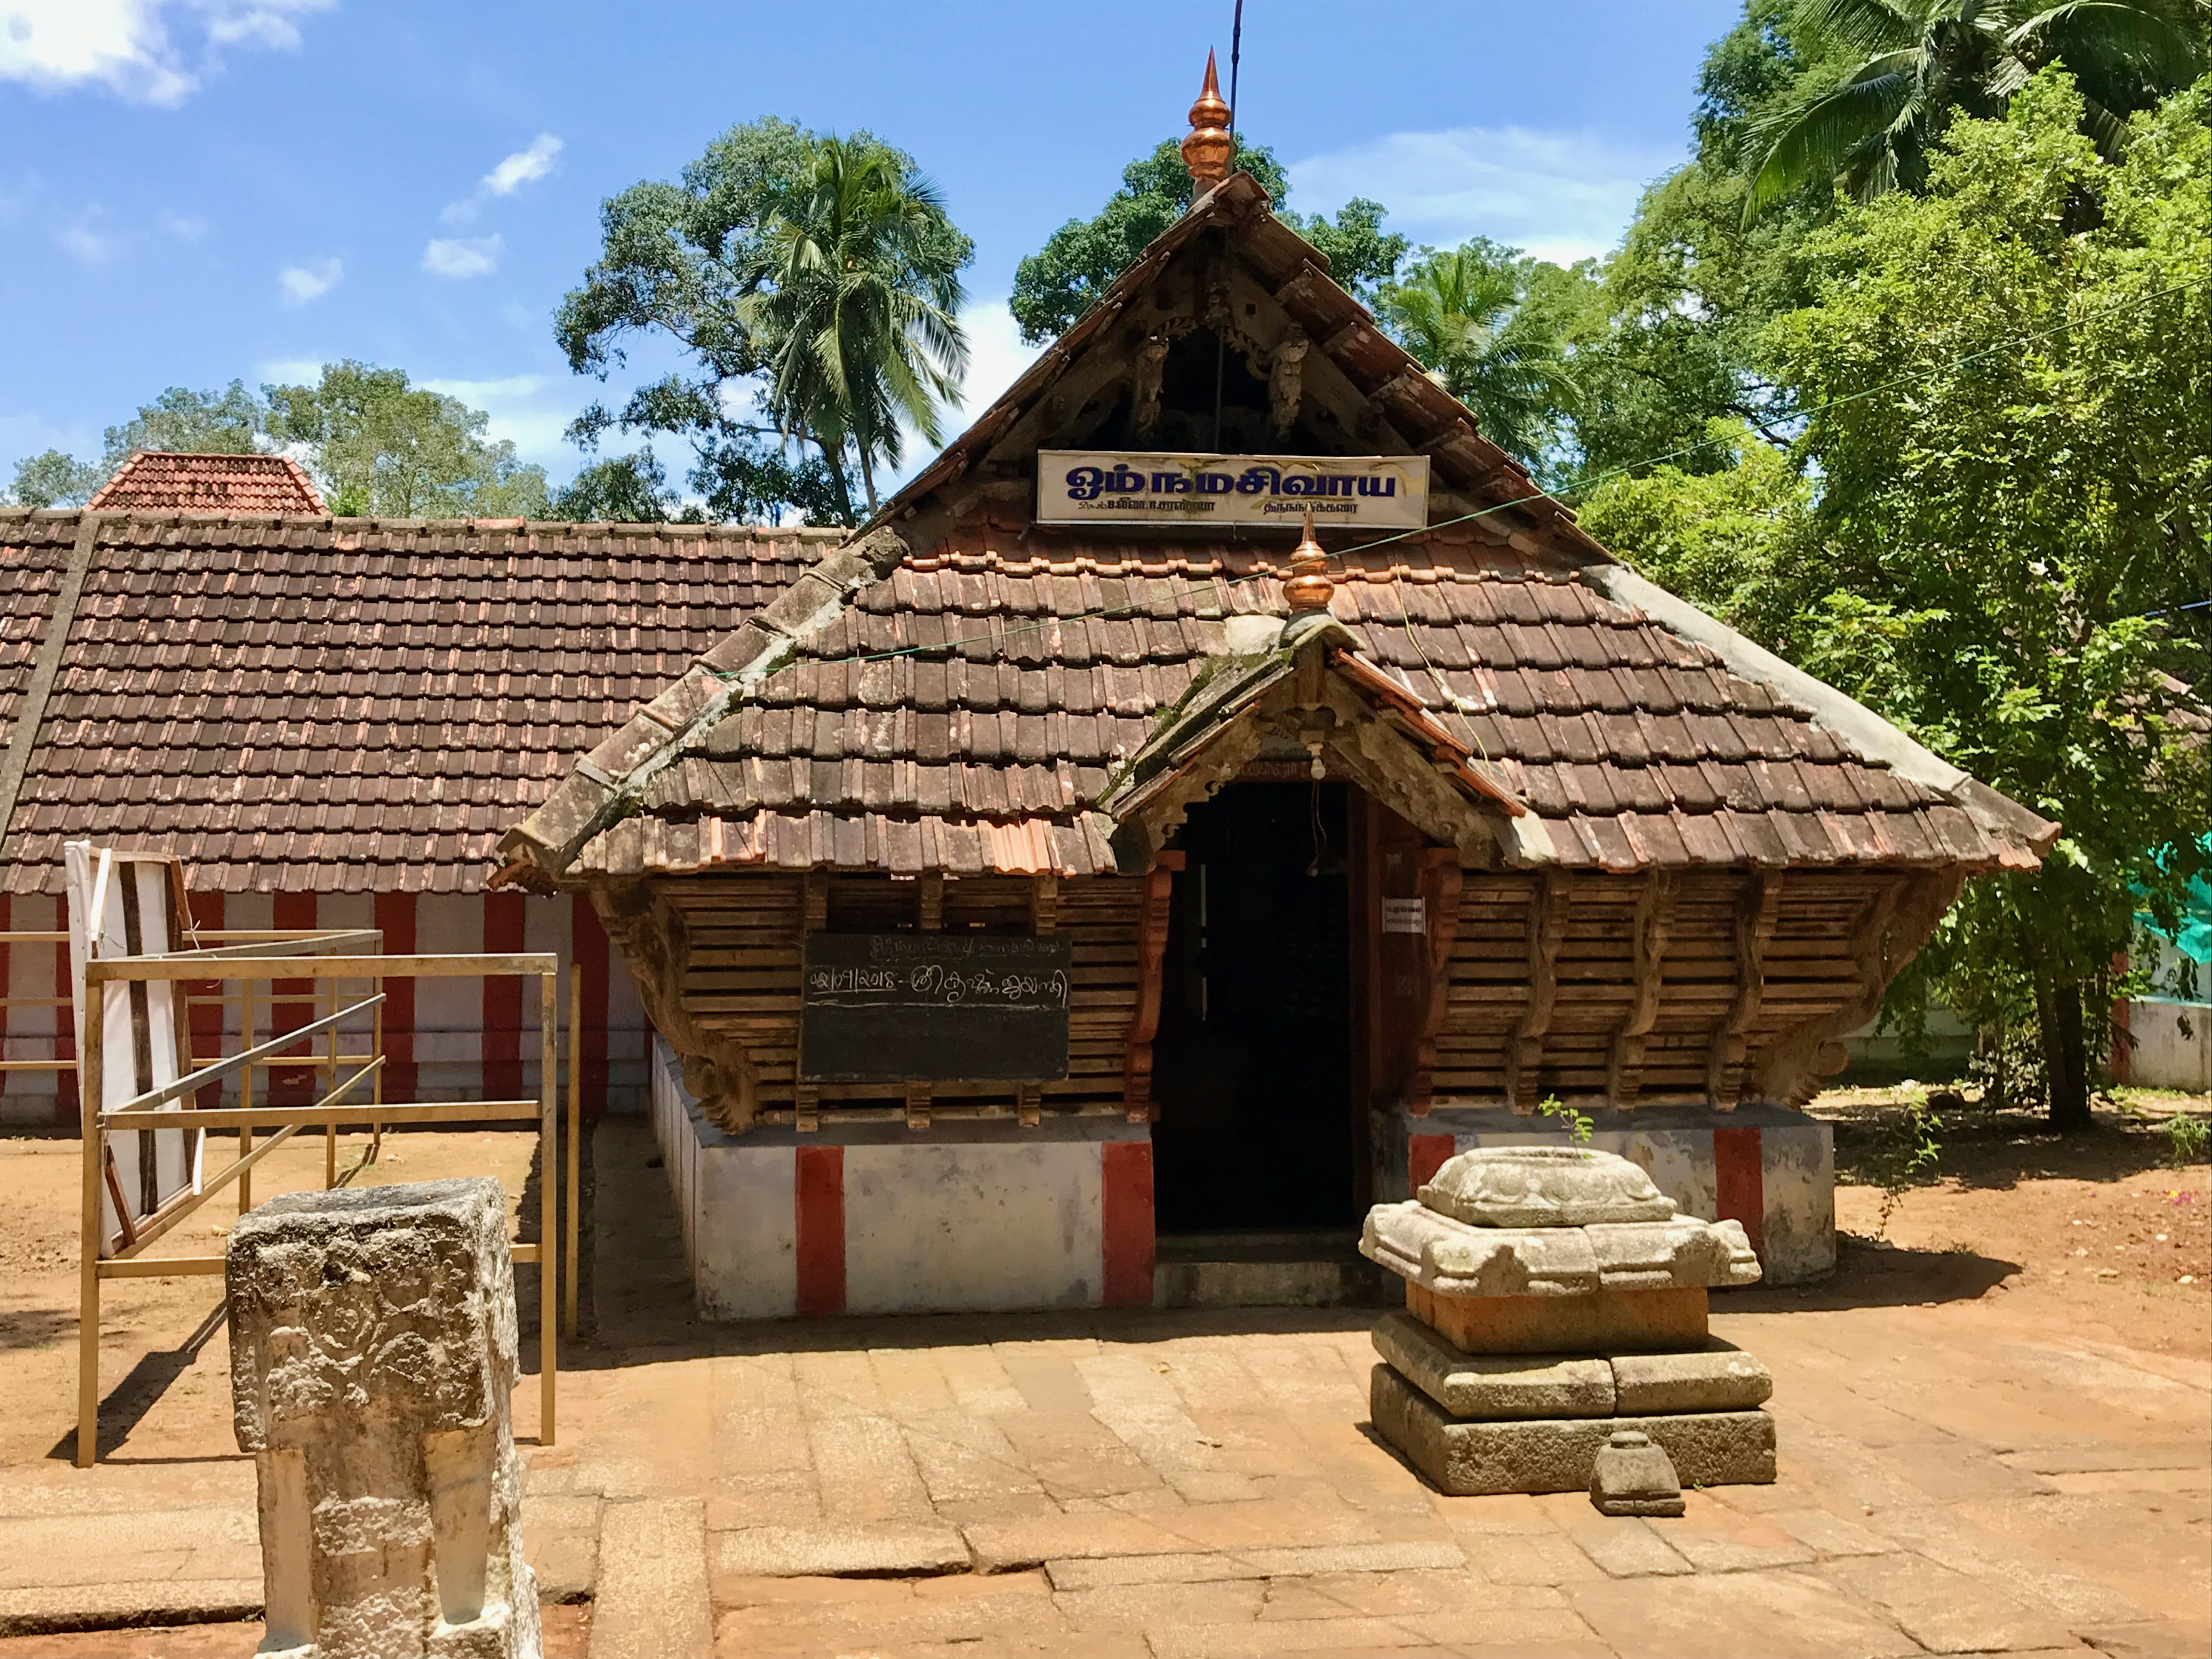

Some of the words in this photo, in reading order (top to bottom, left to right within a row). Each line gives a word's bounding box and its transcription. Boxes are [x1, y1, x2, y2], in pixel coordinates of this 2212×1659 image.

[1065, 456, 1398, 502] ஓம் நமசிவாய
[1259, 497, 1358, 518] திருநந்திக்கரை
[811, 965, 897, 995] 02/09/2018